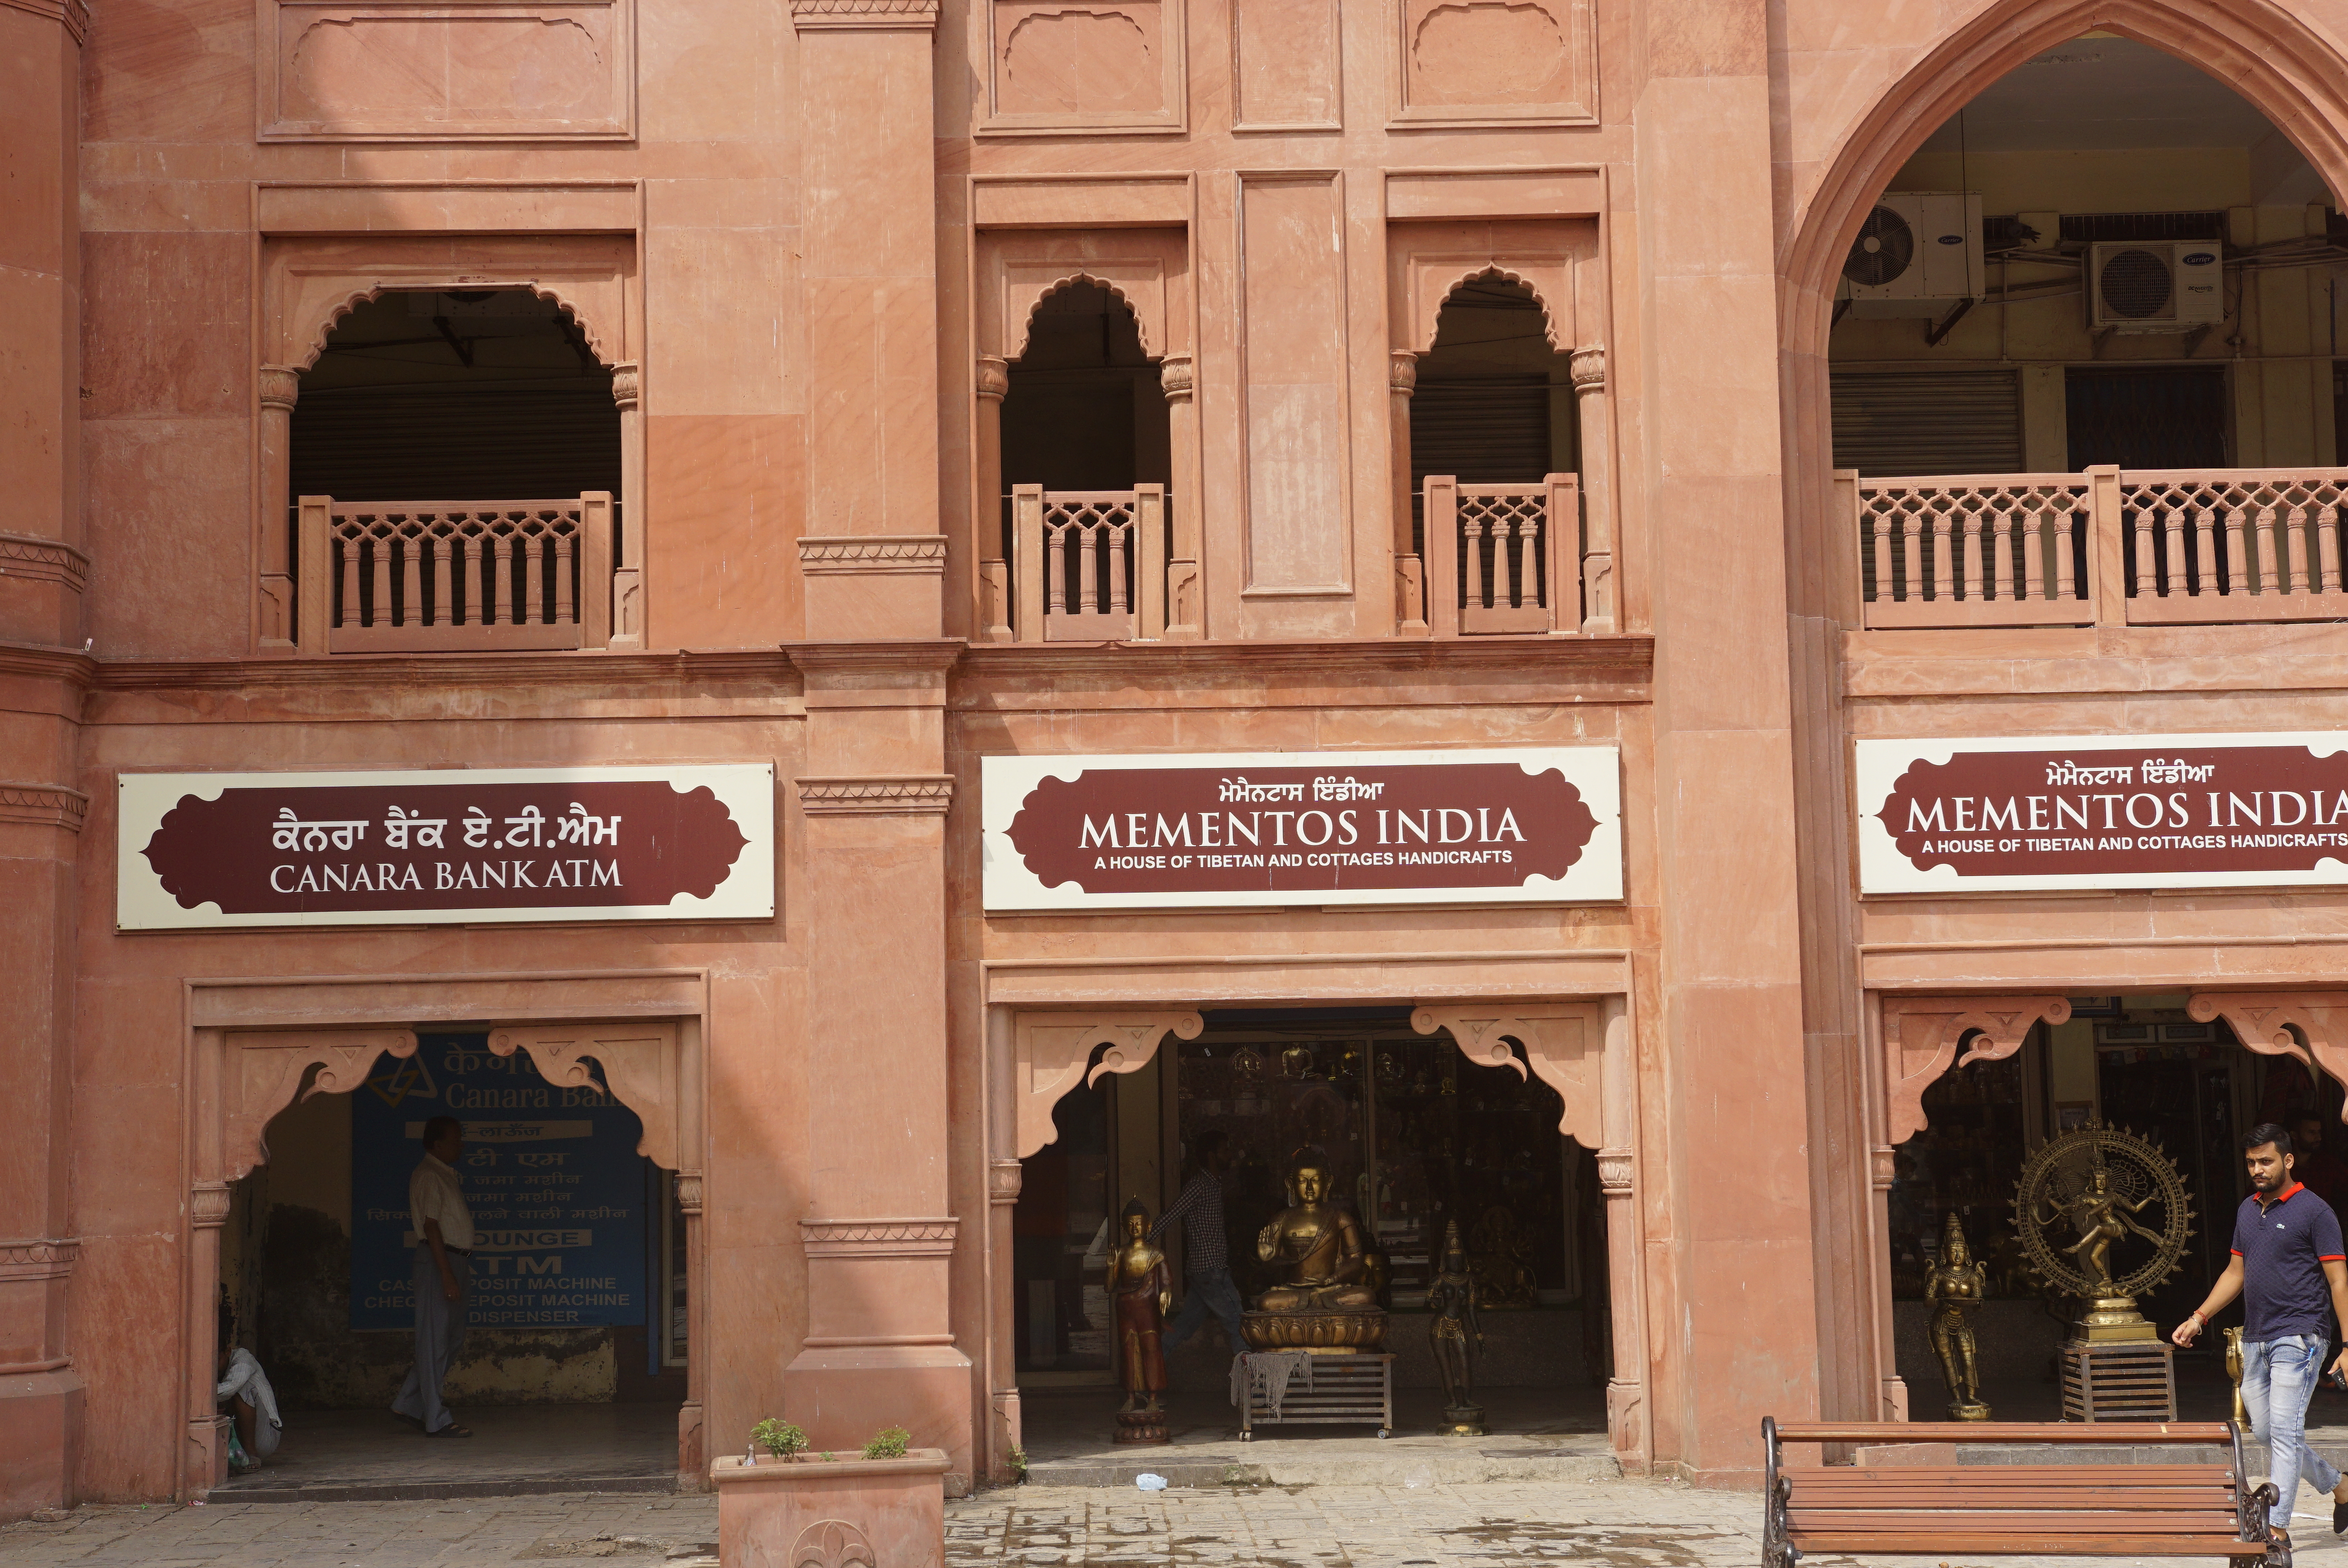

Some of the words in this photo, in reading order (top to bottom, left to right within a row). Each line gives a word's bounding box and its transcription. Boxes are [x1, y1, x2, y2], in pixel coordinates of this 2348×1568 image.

[2042, 754, 2136, 790] ਮੇਮੈਨਟਾਸ
[2138, 755, 2217, 788] ਇੰਡੀਆ
[1214, 773, 1306, 804] ਮੇਮੈਨਟਾਸ
[1308, 772, 1387, 806] ਇੰਡੀਆ
[1897, 791, 2195, 835] MEMENTOS
[2203, 786, 2347, 832] INDIA
[266, 803, 374, 857] ਕੈਨਰਾ
[377, 801, 452, 855] ਬੈਂਂਕ
[455, 799, 630, 858] ਏ.ਟੀ.ਐਮ
[1073, 809, 1362, 851] MEMENTOS
[1373, 804, 1532, 847] INDIA
[1919, 835, 1935, 855] A
[1935, 835, 1996, 855] HOUSE
[1996, 835, 2023, 854] OF
[2023, 834, 2096, 853] TIBETAN
[2095, 832, 2135, 853] AND
[2134, 832, 2229, 853] COTTAGES
[2229, 829, 2347, 848] HANDICRAFTS
[1091, 853, 1108, 871] A
[1108, 853, 1168, 871] HOUSE
[1168, 852, 1194, 870] OF
[1194, 853, 1266, 869] TIBETAN
[1265, 851, 1304, 868] AND
[1305, 851, 1396, 868] COTTAGES
[1394, 848, 1517, 868] HANDICRAFTS
[262, 858, 430, 900] CANARA
[428, 855, 540, 900] BANK
[538, 853, 631, 895] ATM
[441, 1080, 558, 1114] Canara
[477, 1120, 547, 1139] लाऊँज
[464, 1144, 508, 1170] टी
[512, 1149, 574, 1172] एम
[471, 1173, 519, 1190] जमा
[522, 1170, 588, 1189] मशीन
[463, 1189, 510, 1204] जमा
[513, 1187, 577, 1204] मशीन
[515, 1204, 569, 1224] वाली
[568, 1204, 634, 1223] मशीन
[472, 1252, 515, 1276] T
[515, 1251, 566, 1276] M
[477, 1276, 524, 1292] OSIT
[525, 1276, 619, 1291] MACHINE
[361, 1291, 417, 1312] CHEQ
[477, 1292, 538, 1308] POSIT
[539, 1292, 633, 1308] MACHINE
[467, 1309, 581, 1324] DISPENSER